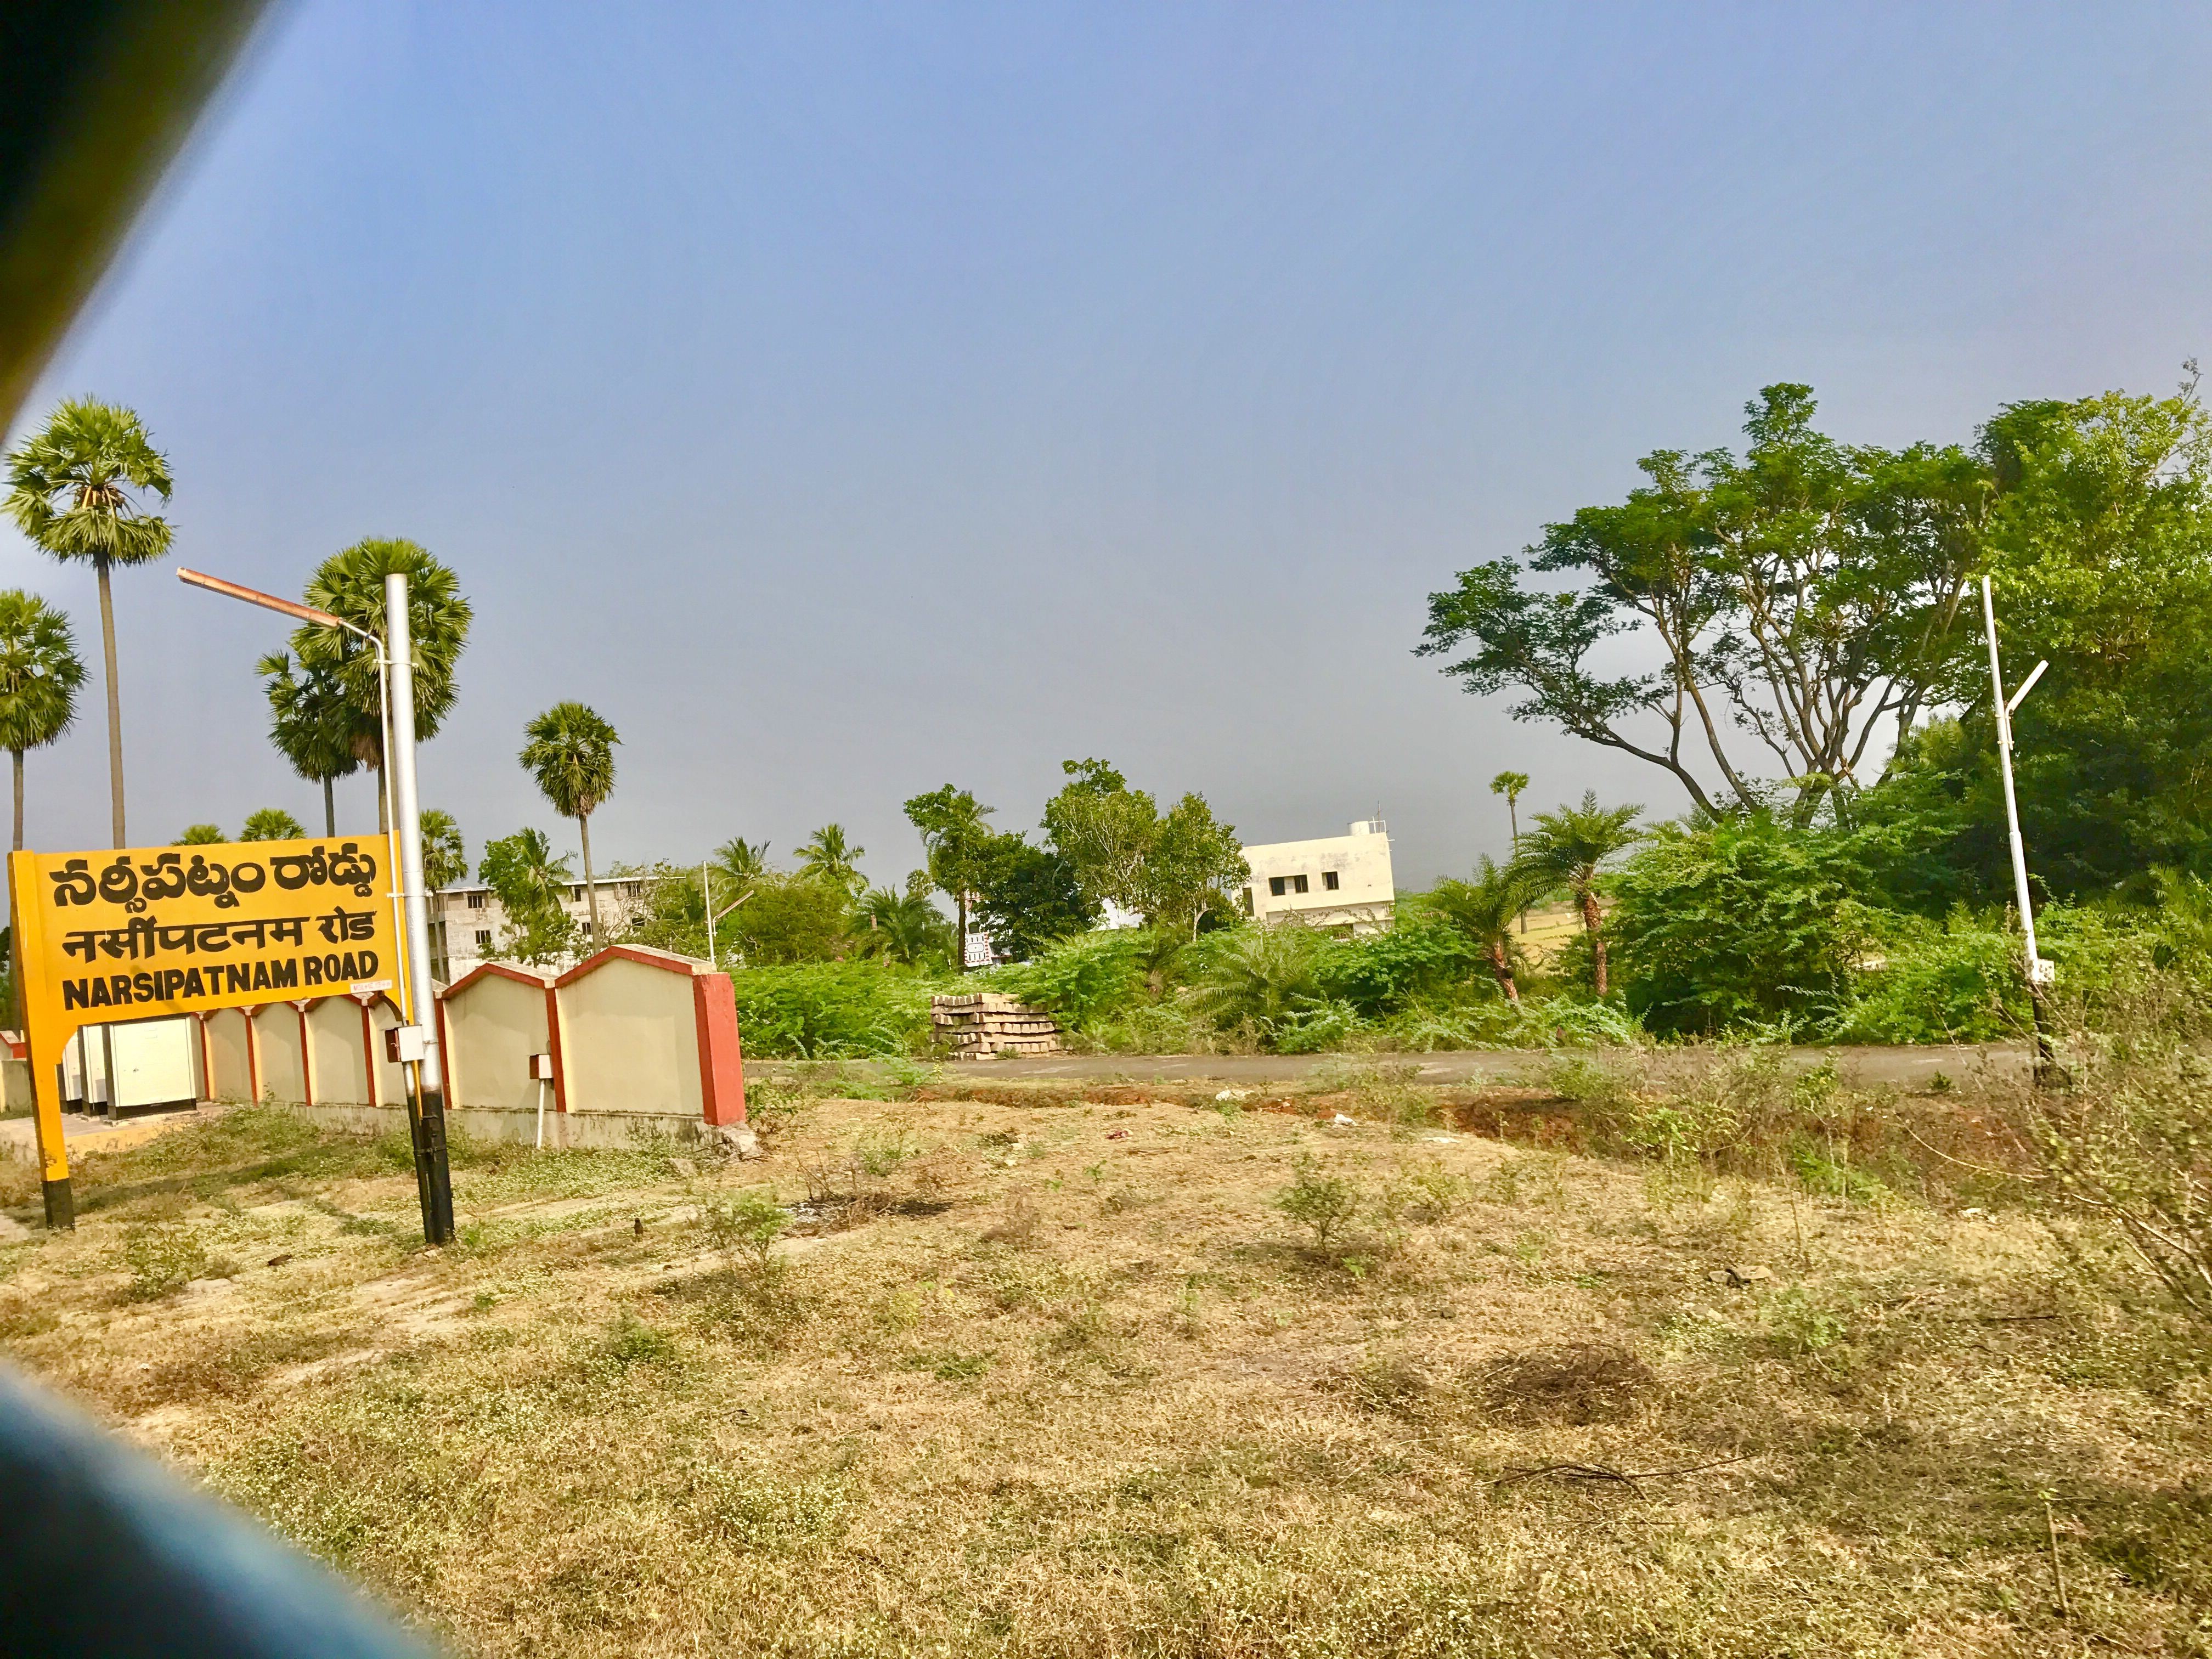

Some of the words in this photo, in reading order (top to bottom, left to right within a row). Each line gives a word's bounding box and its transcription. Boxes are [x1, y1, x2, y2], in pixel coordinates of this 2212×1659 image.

[52, 849, 268, 916] నర్సీపట్నం
[268, 840, 380, 899] రోడ్డు
[59, 956, 300, 1015] NARSIPATNAM
[62, 910, 310, 969] नर्सीपटनम
[301, 948, 381, 989] ROAD
[313, 902, 379, 947] रोड